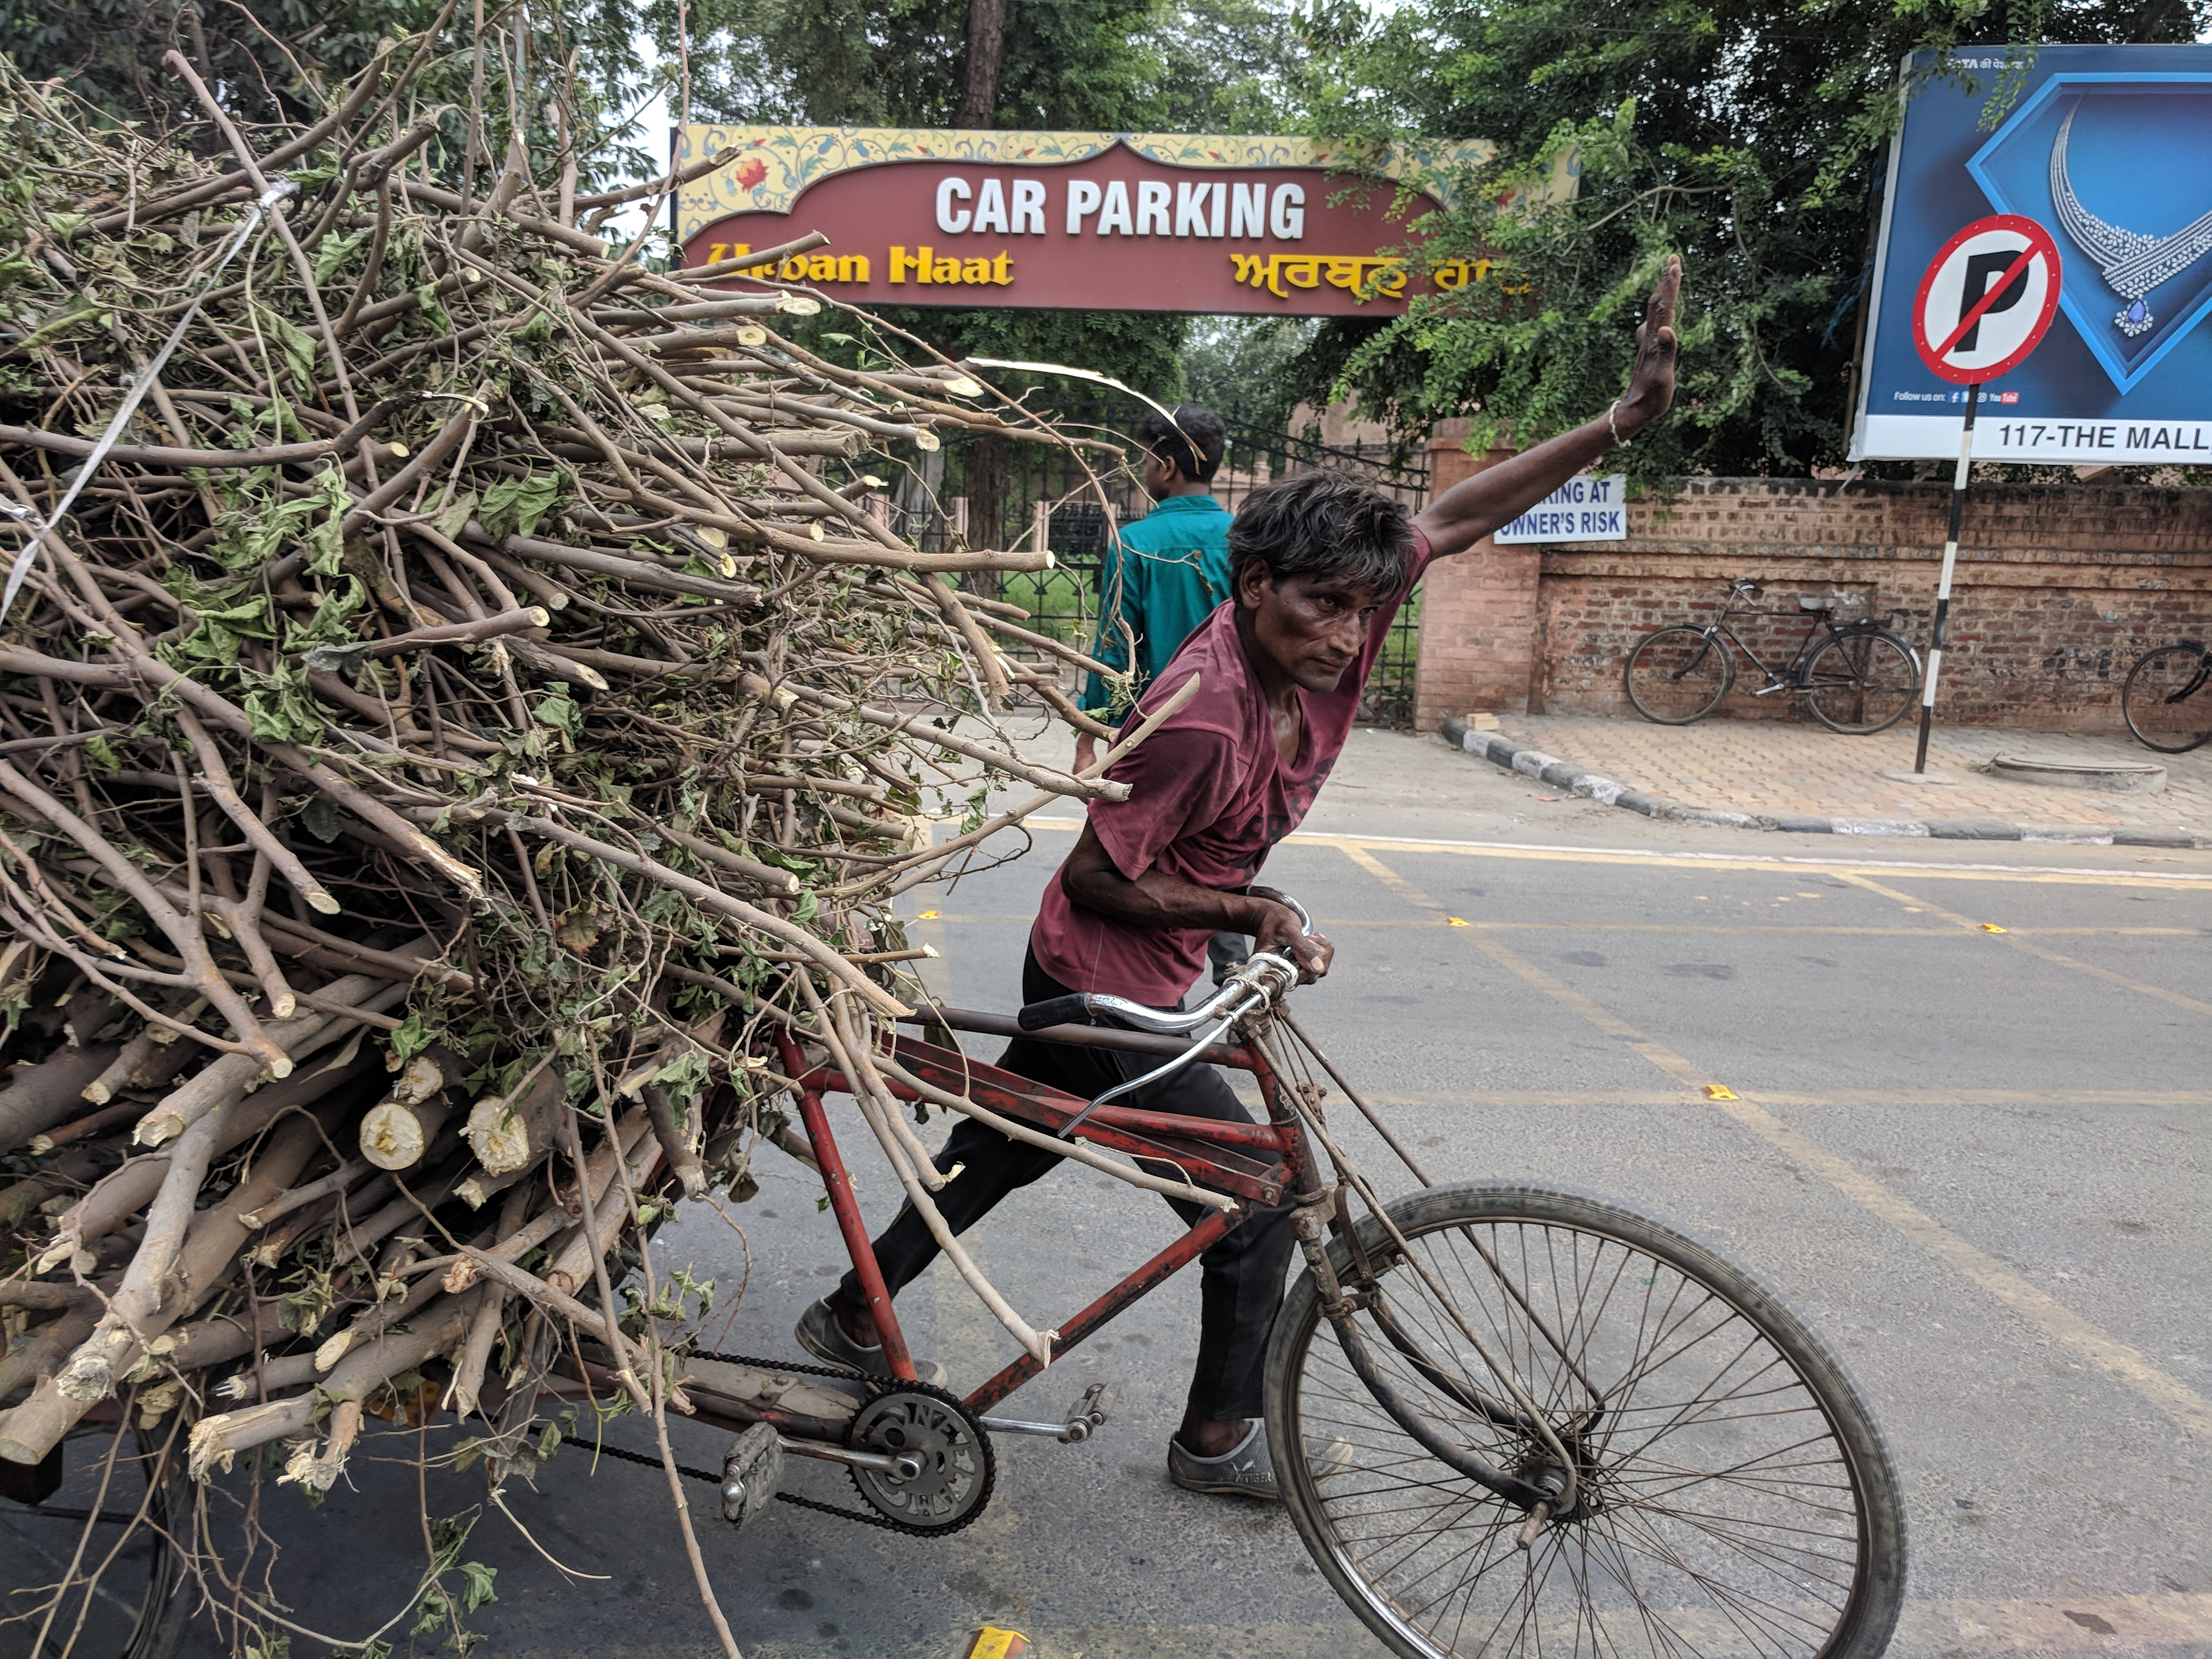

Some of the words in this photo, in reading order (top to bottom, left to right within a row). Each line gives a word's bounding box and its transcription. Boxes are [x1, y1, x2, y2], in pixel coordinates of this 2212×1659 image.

[922, 174, 1052, 242] CAR
[1060, 174, 1313, 245] PARKING
[807, 249, 879, 289] an
[879, 243, 1022, 290] Haat
[1224, 249, 1423, 302] ਅਰਬਨ
[1951, 245, 2038, 358] ਪਲਾਂਸਟਰ
[1992, 421, 2050, 451] 117
[2056, 422, 2120, 454] THE
[2122, 423, 2211, 455] MALL
[1559, 480, 1590, 506] NG
[1586, 477, 1615, 505] AT
[1526, 510, 1578, 539] NER
[1576, 510, 1623, 538] RISK